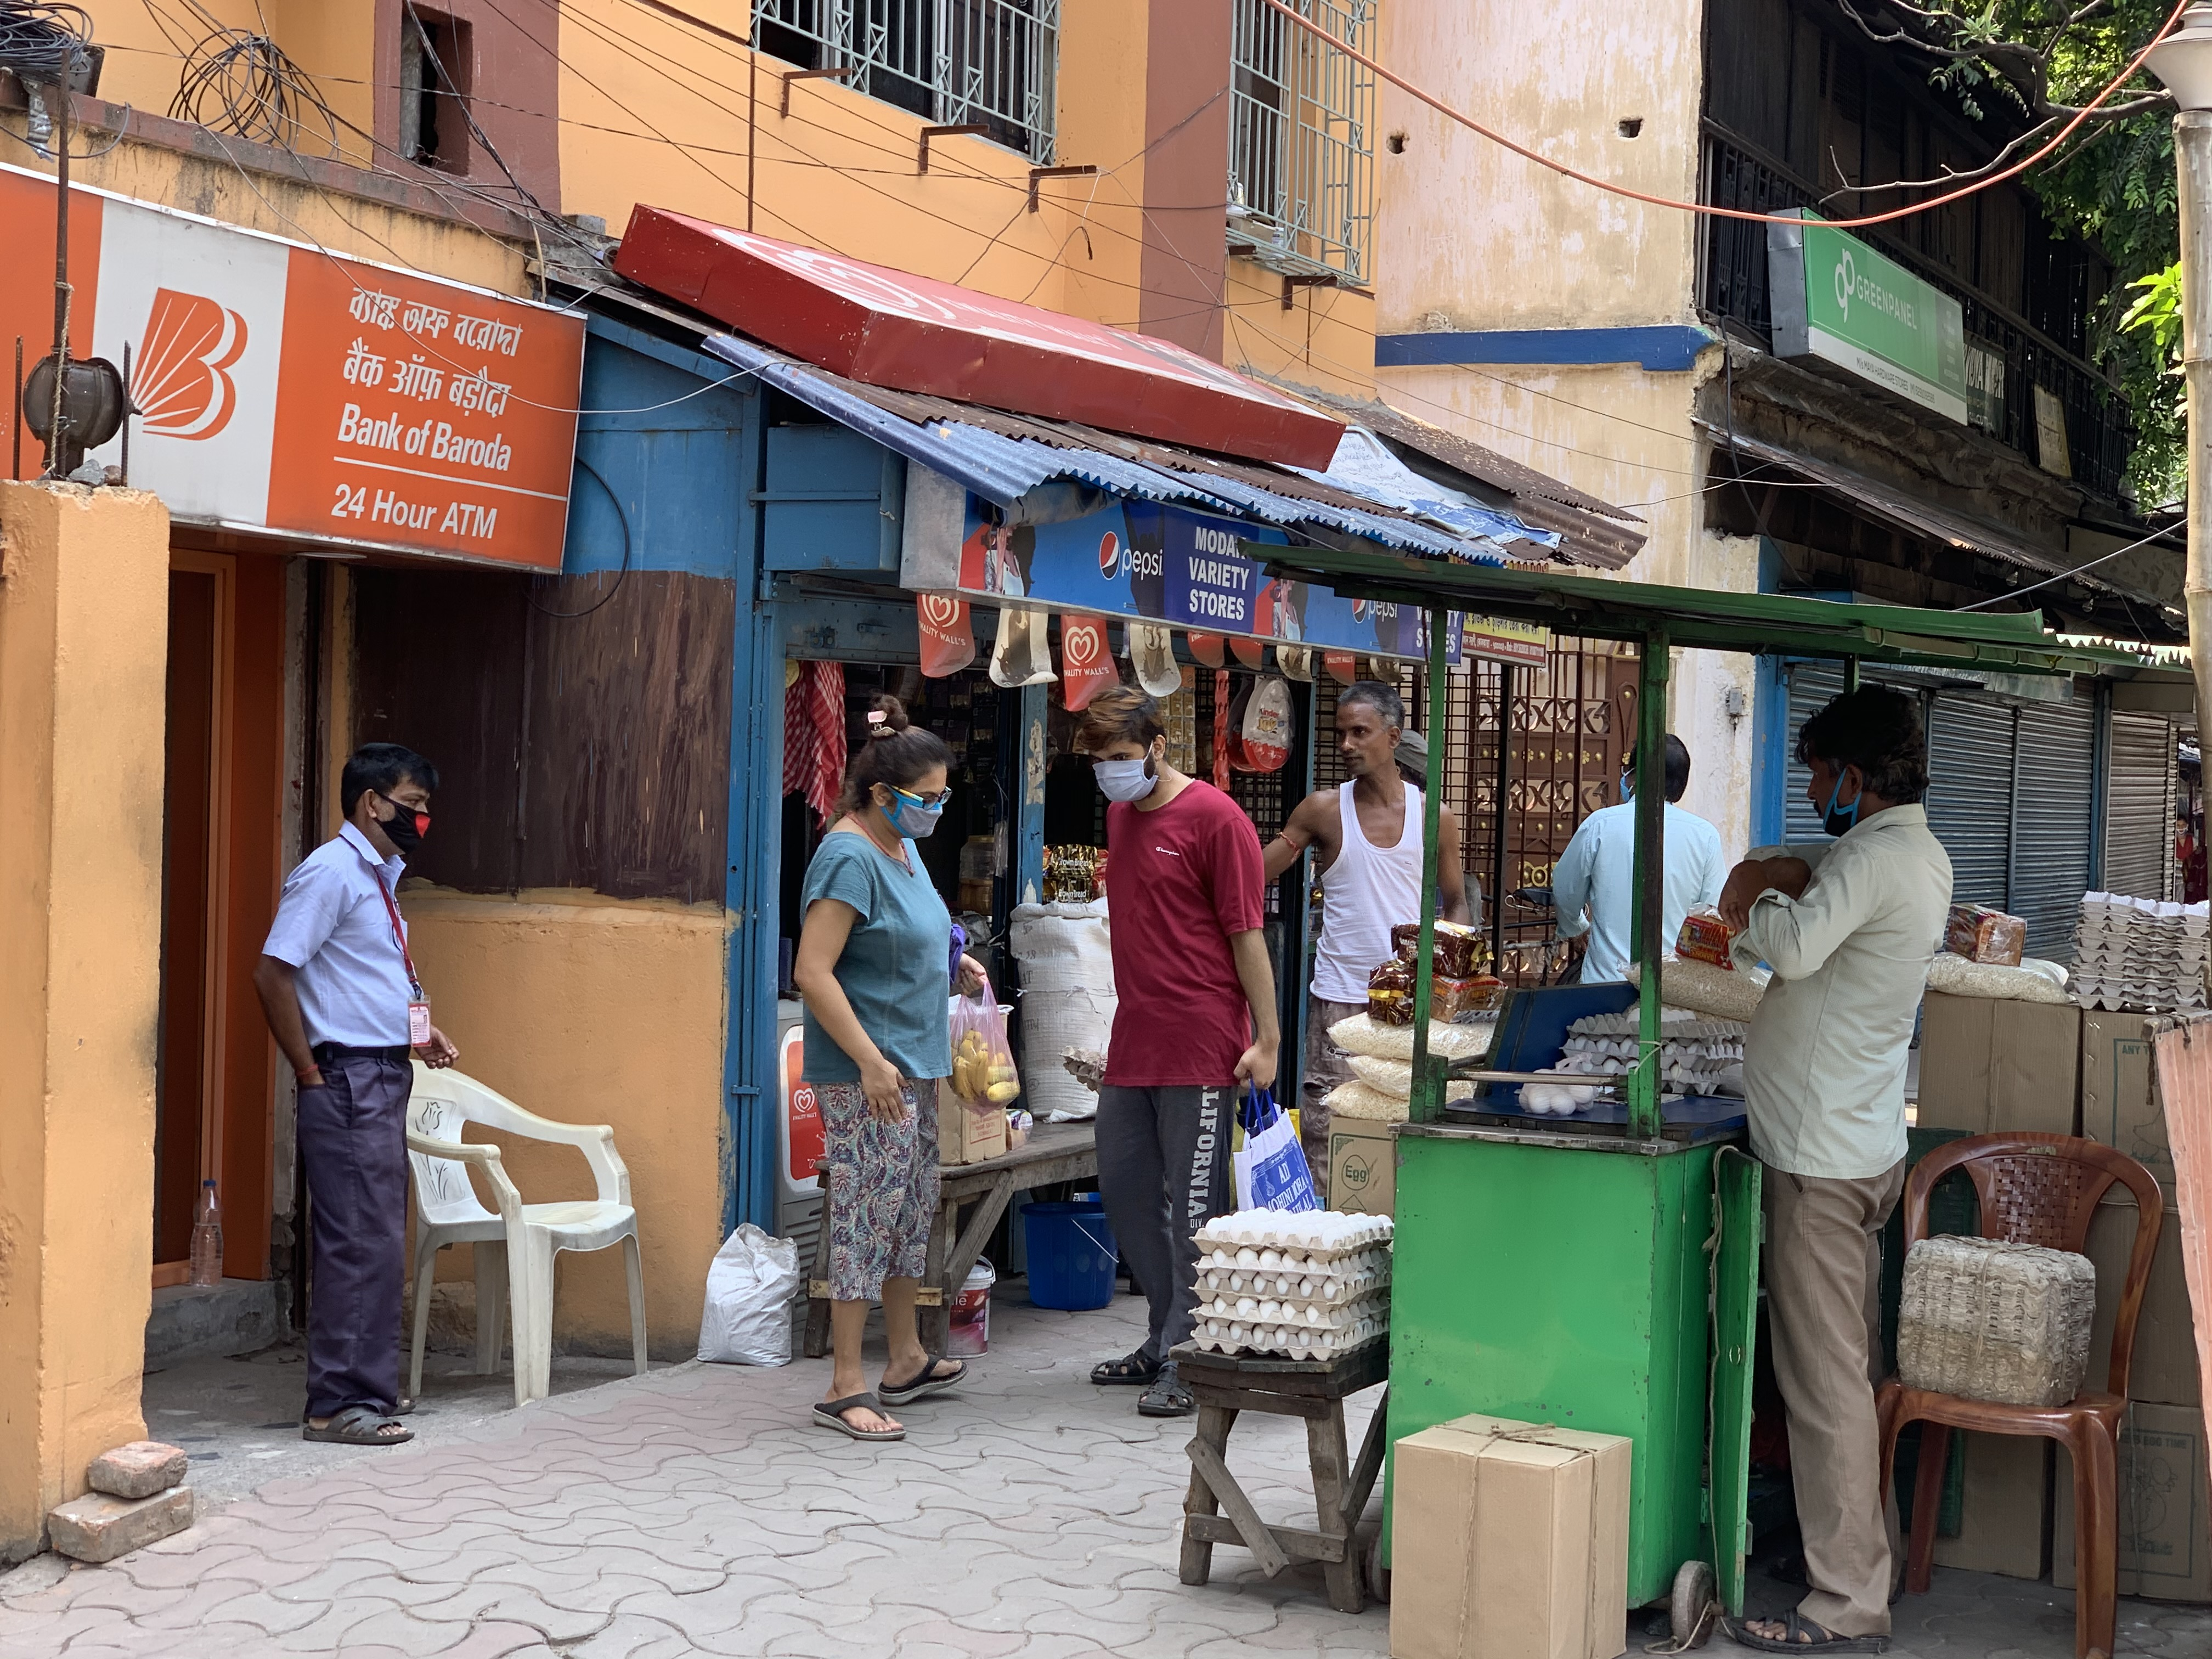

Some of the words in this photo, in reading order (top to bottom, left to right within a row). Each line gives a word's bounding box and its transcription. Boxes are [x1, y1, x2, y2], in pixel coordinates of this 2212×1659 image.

[332, 331, 386, 394] बैंक
[343, 279, 410, 334] ব্যাঙ্ক
[386, 345, 448, 403] ऑफ़
[396, 297, 455, 346] অফ
[447, 364, 516, 422] बड़ौदा
[450, 309, 529, 363] বরোদা
[1833, 255, 1922, 329] GREENPANEL
[332, 397, 406, 453] Bank
[400, 410, 439, 461] of
[425, 419, 518, 475] Baroda
[325, 476, 375, 523] 24
[368, 484, 439, 539] Hour
[437, 496, 502, 548] ATM
[1106, 539, 1169, 577] pepsi
[1183, 555, 1255, 592] VARIETY
[1183, 582, 1249, 624] STORES
[1344, 1160, 1371, 1190] (Egg)